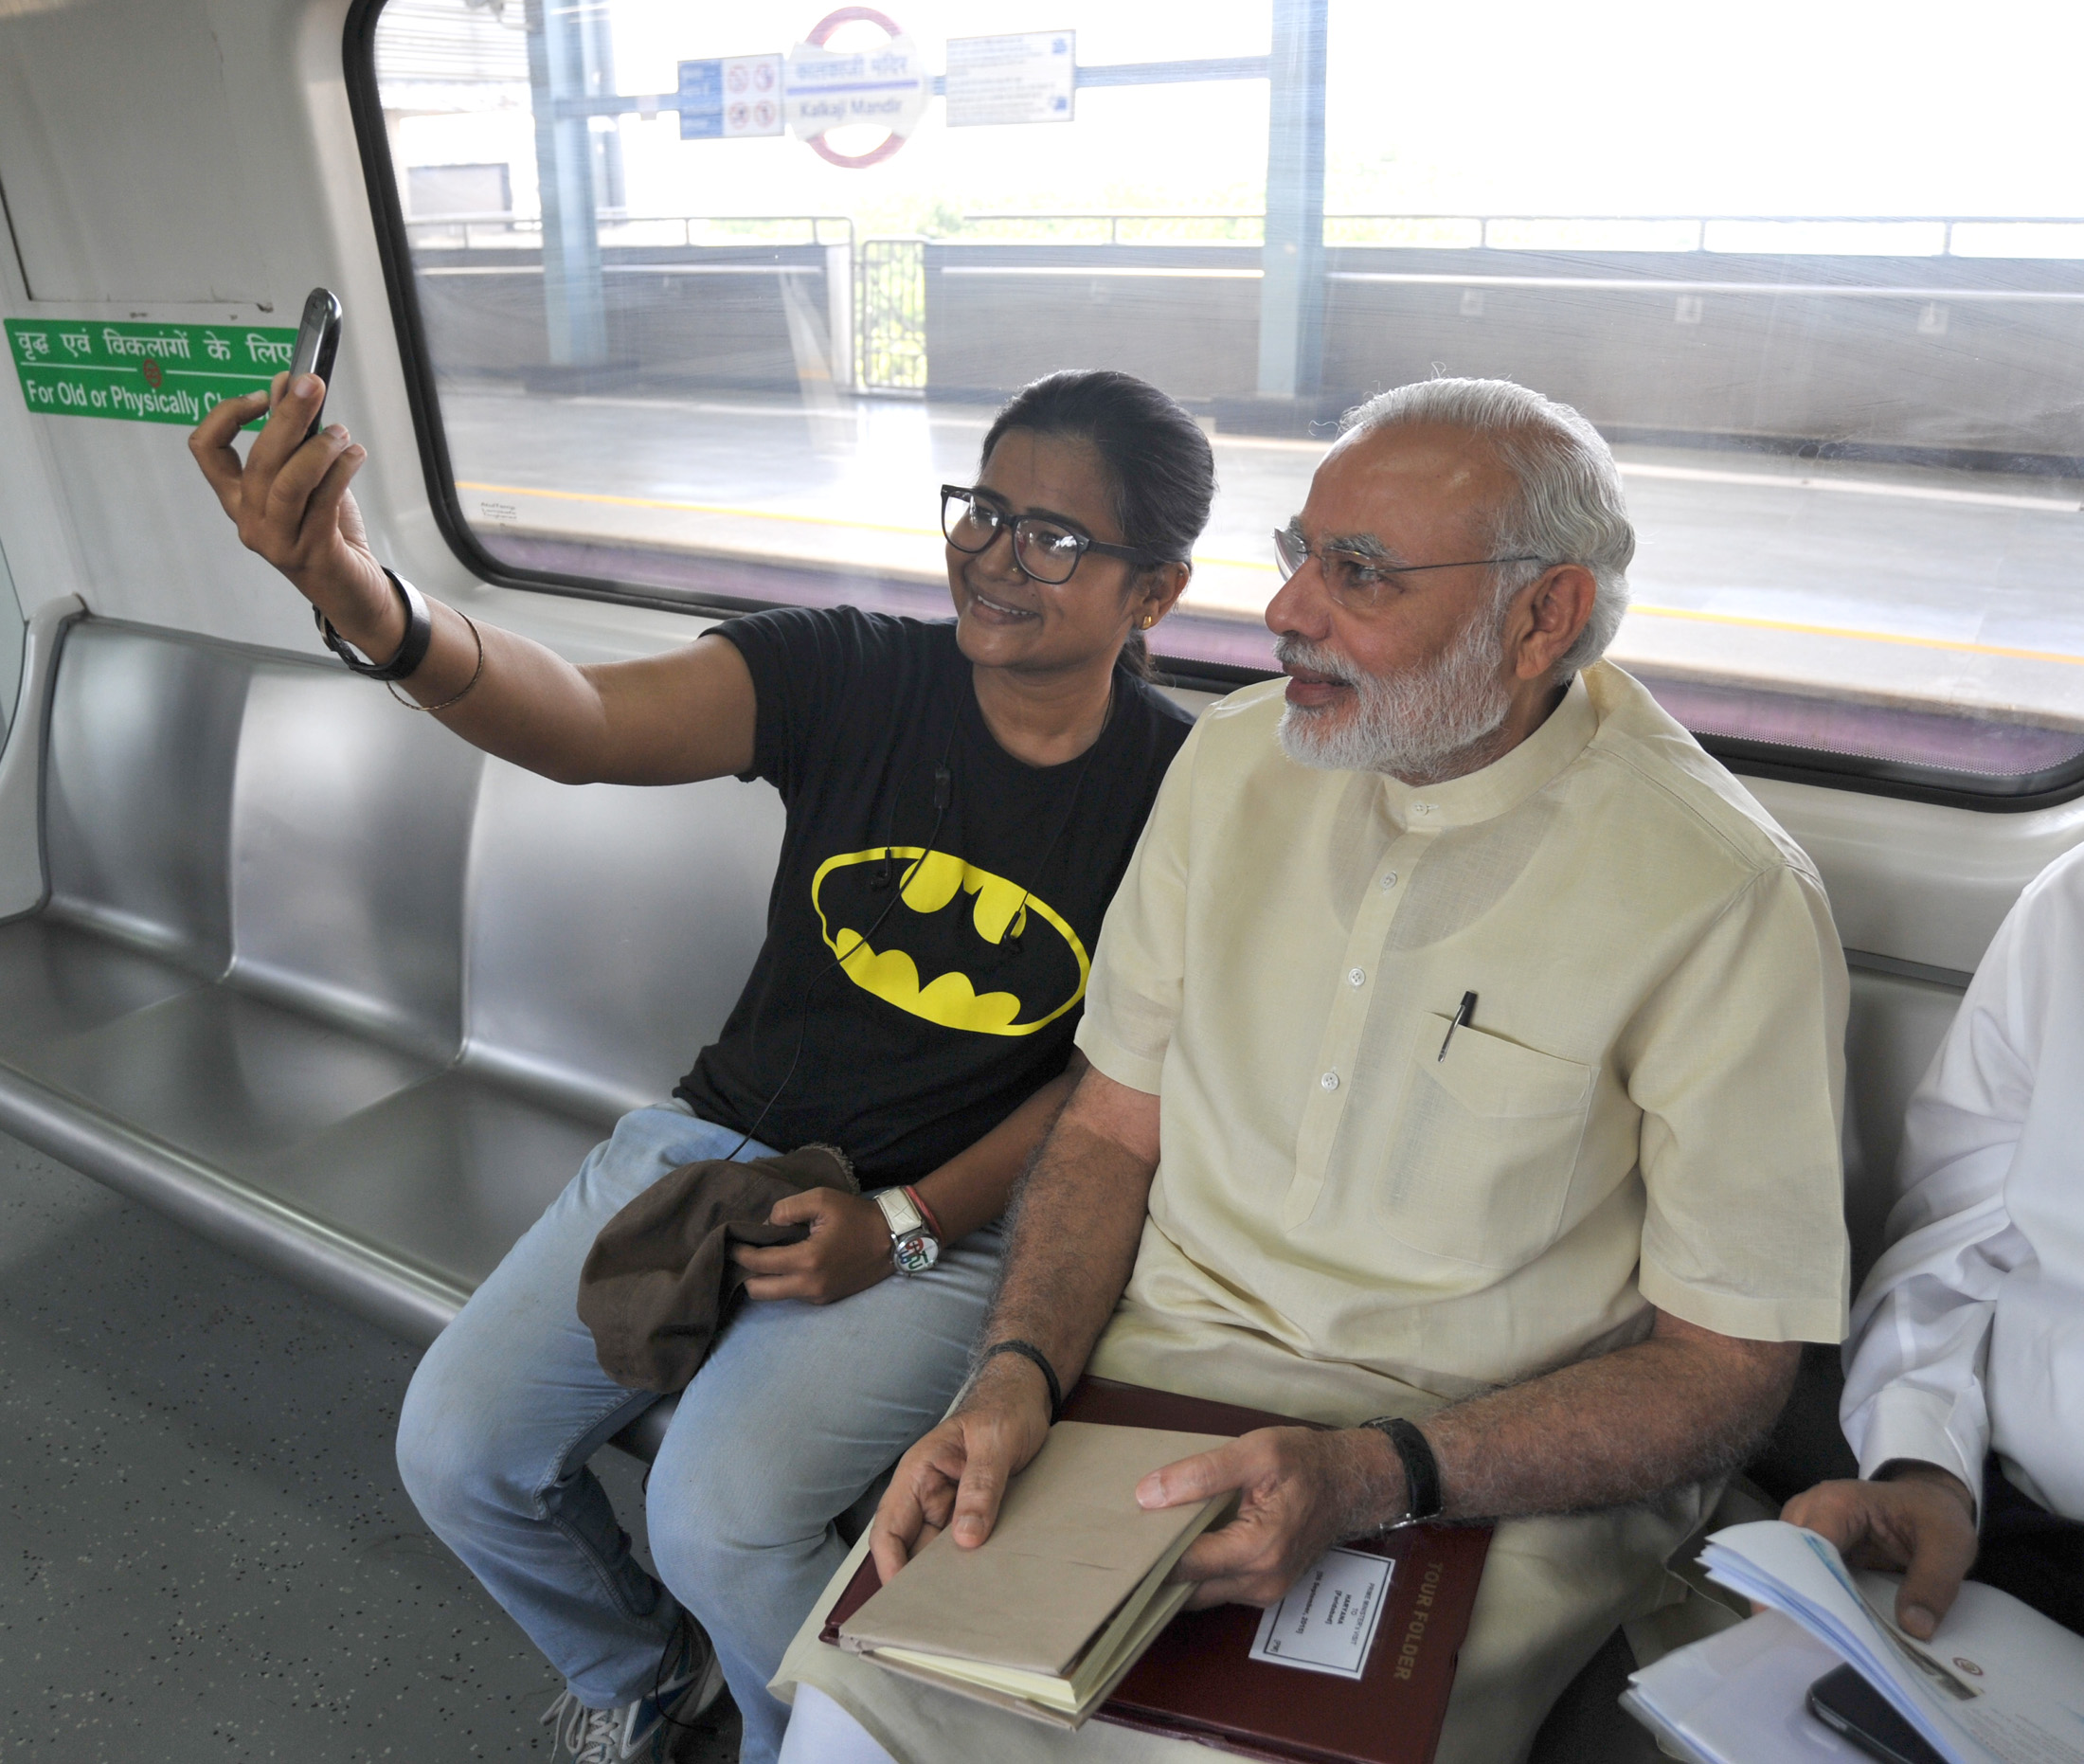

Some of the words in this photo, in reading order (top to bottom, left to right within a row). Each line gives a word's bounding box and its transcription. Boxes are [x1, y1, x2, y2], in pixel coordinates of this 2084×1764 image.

[867, 45, 913, 82] मदिर
[13, 329, 52, 364] वृृद्ध
[56, 323, 94, 361] एवं
[100, 324, 194, 358] विकलांगों
[199, 327, 239, 363] के
[242, 329, 293, 367] लिए
[22, 376, 60, 407] ६०ा
[50, 378, 94, 410] Old
[87, 387, 111, 410] or
[109, 382, 202, 423] Physically